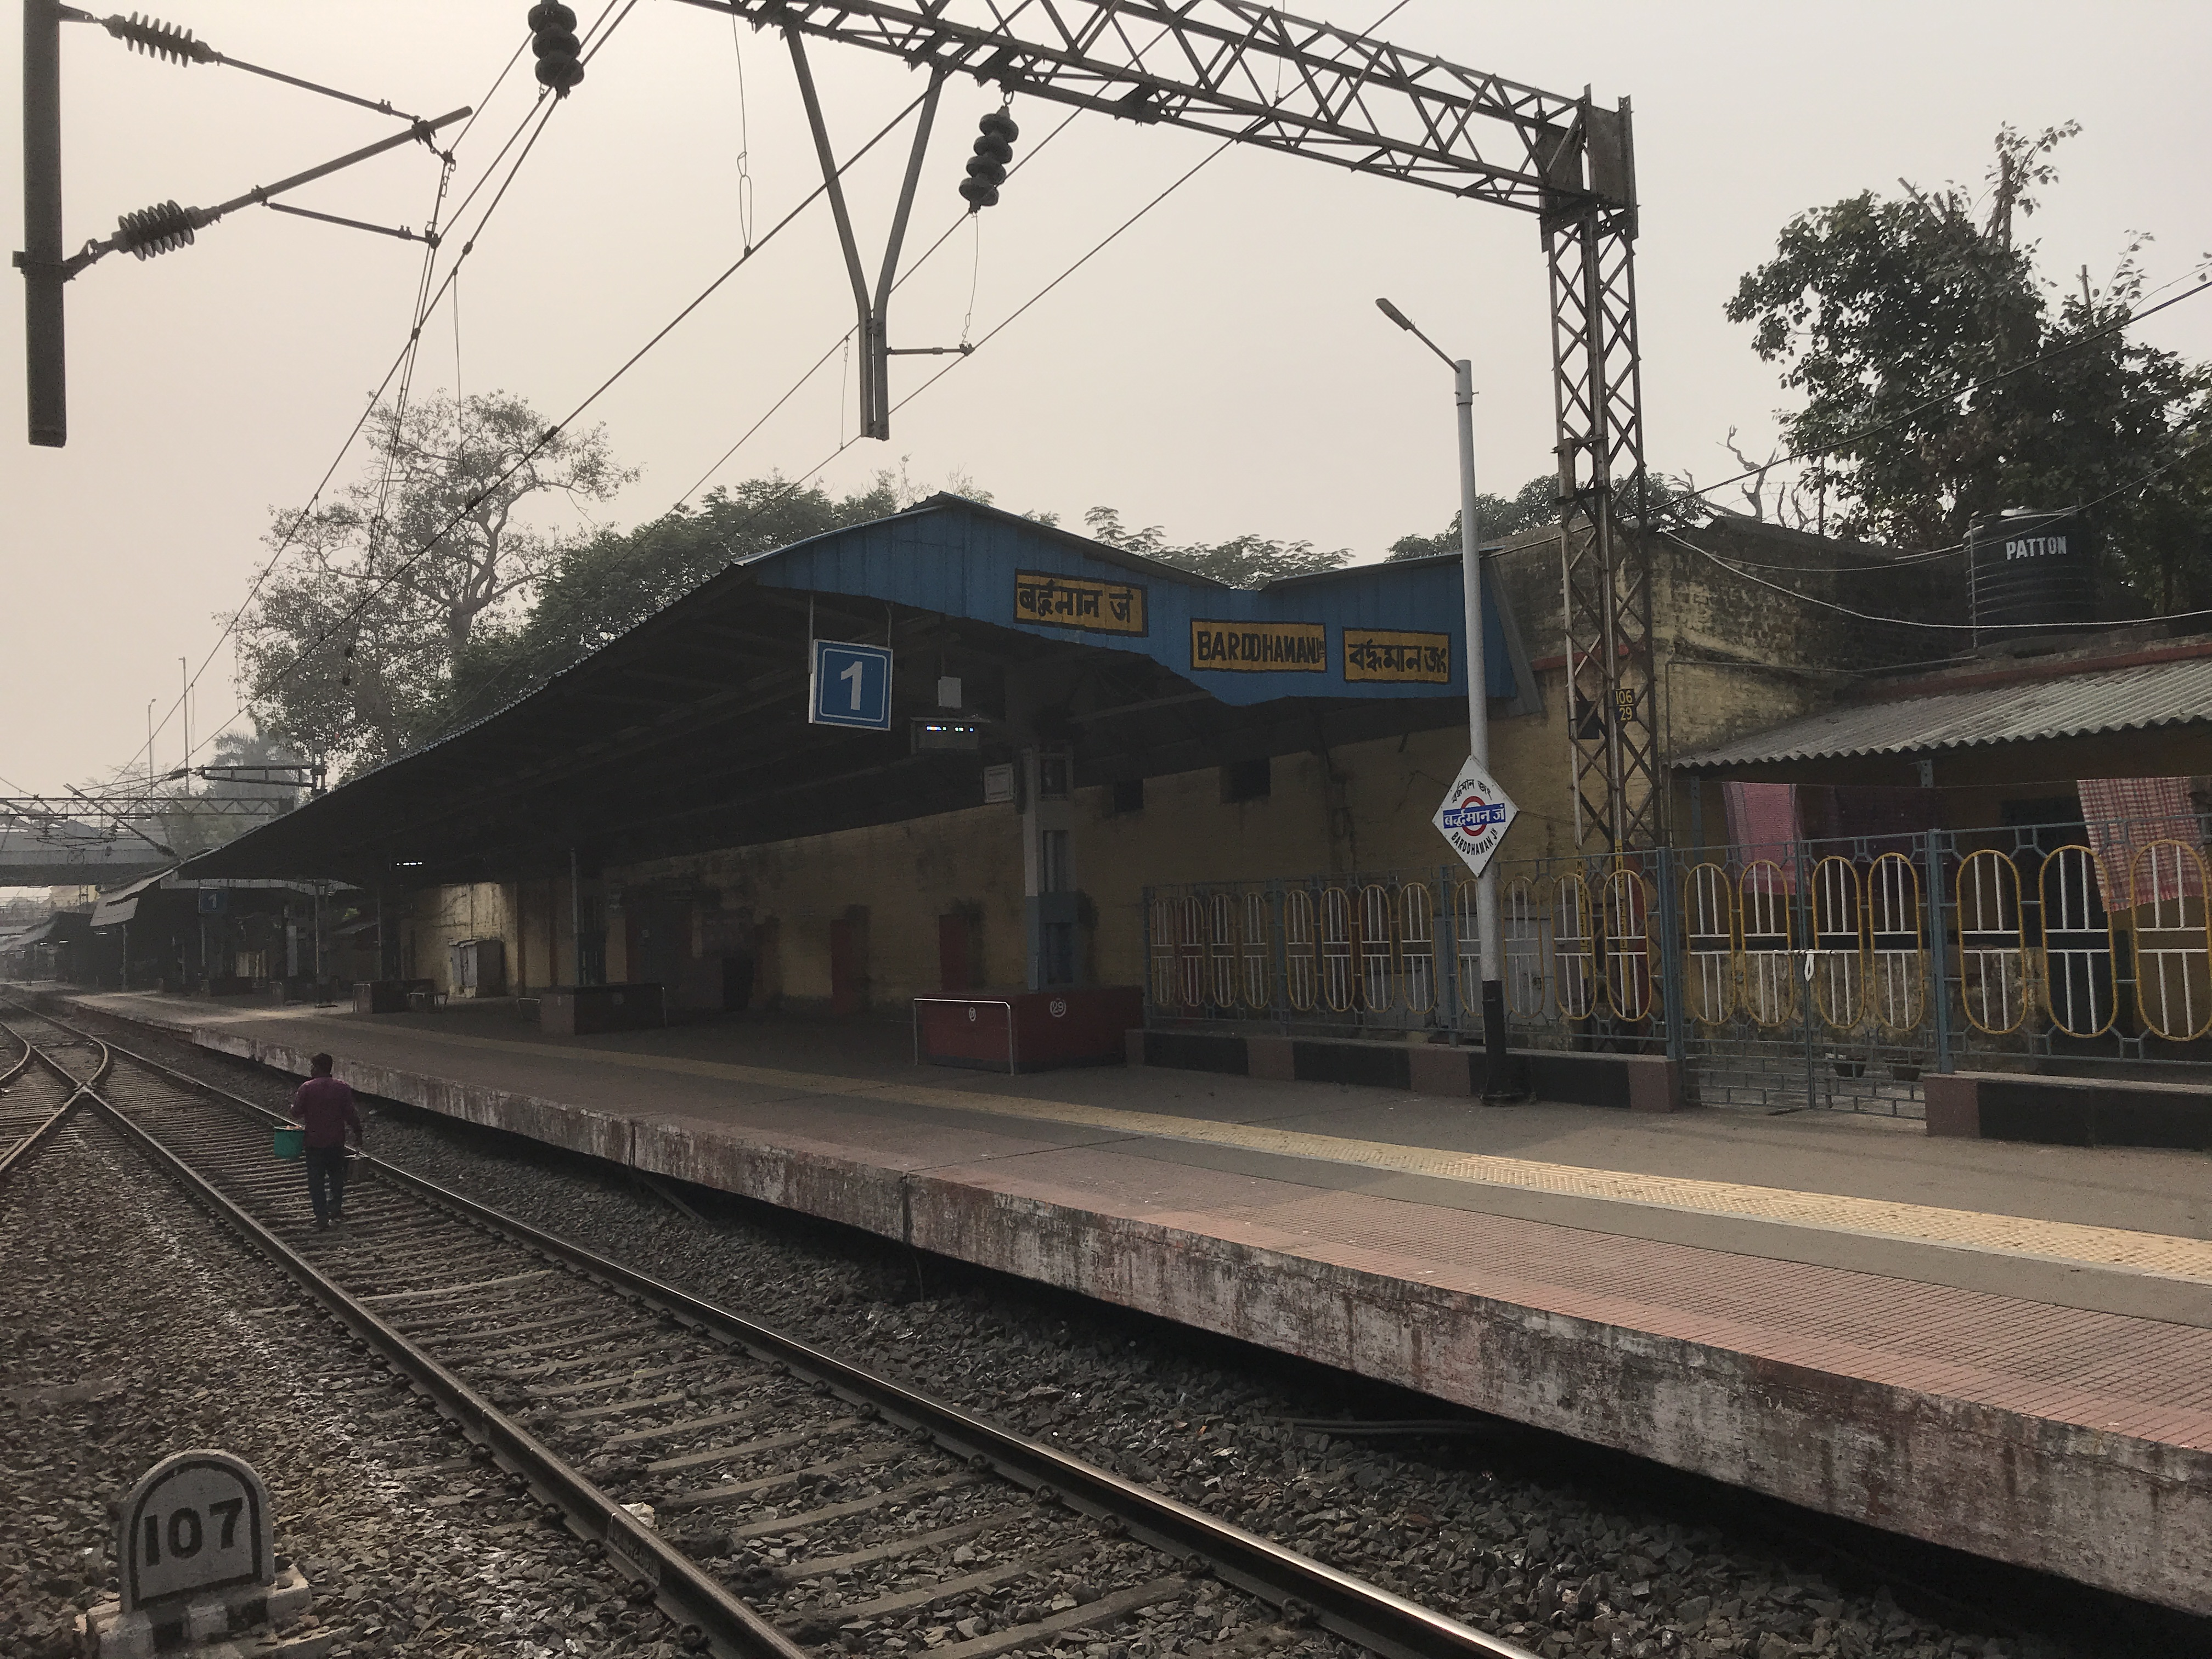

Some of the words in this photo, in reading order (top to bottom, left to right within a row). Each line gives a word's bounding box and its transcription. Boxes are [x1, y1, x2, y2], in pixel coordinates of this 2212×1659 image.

[2001, 526, 2072, 568] PATTON
[1013, 565, 1105, 622] बर्द्वमान
[1098, 578, 1140, 631] जं
[1191, 624, 1324, 667] BARDDHAMAN
[1340, 630, 1450, 674] বার্দ্ধমান জং
[1444, 766, 1477, 809] বর্ধমান
[1473, 774, 1497, 805] জং
[1447, 830, 1497, 858] BARDDHAMAN
[1440, 799, 1508, 835] बर्द्धमान जं
[1485, 823, 1503, 844] JN
[138, 1490, 252, 1576] 107